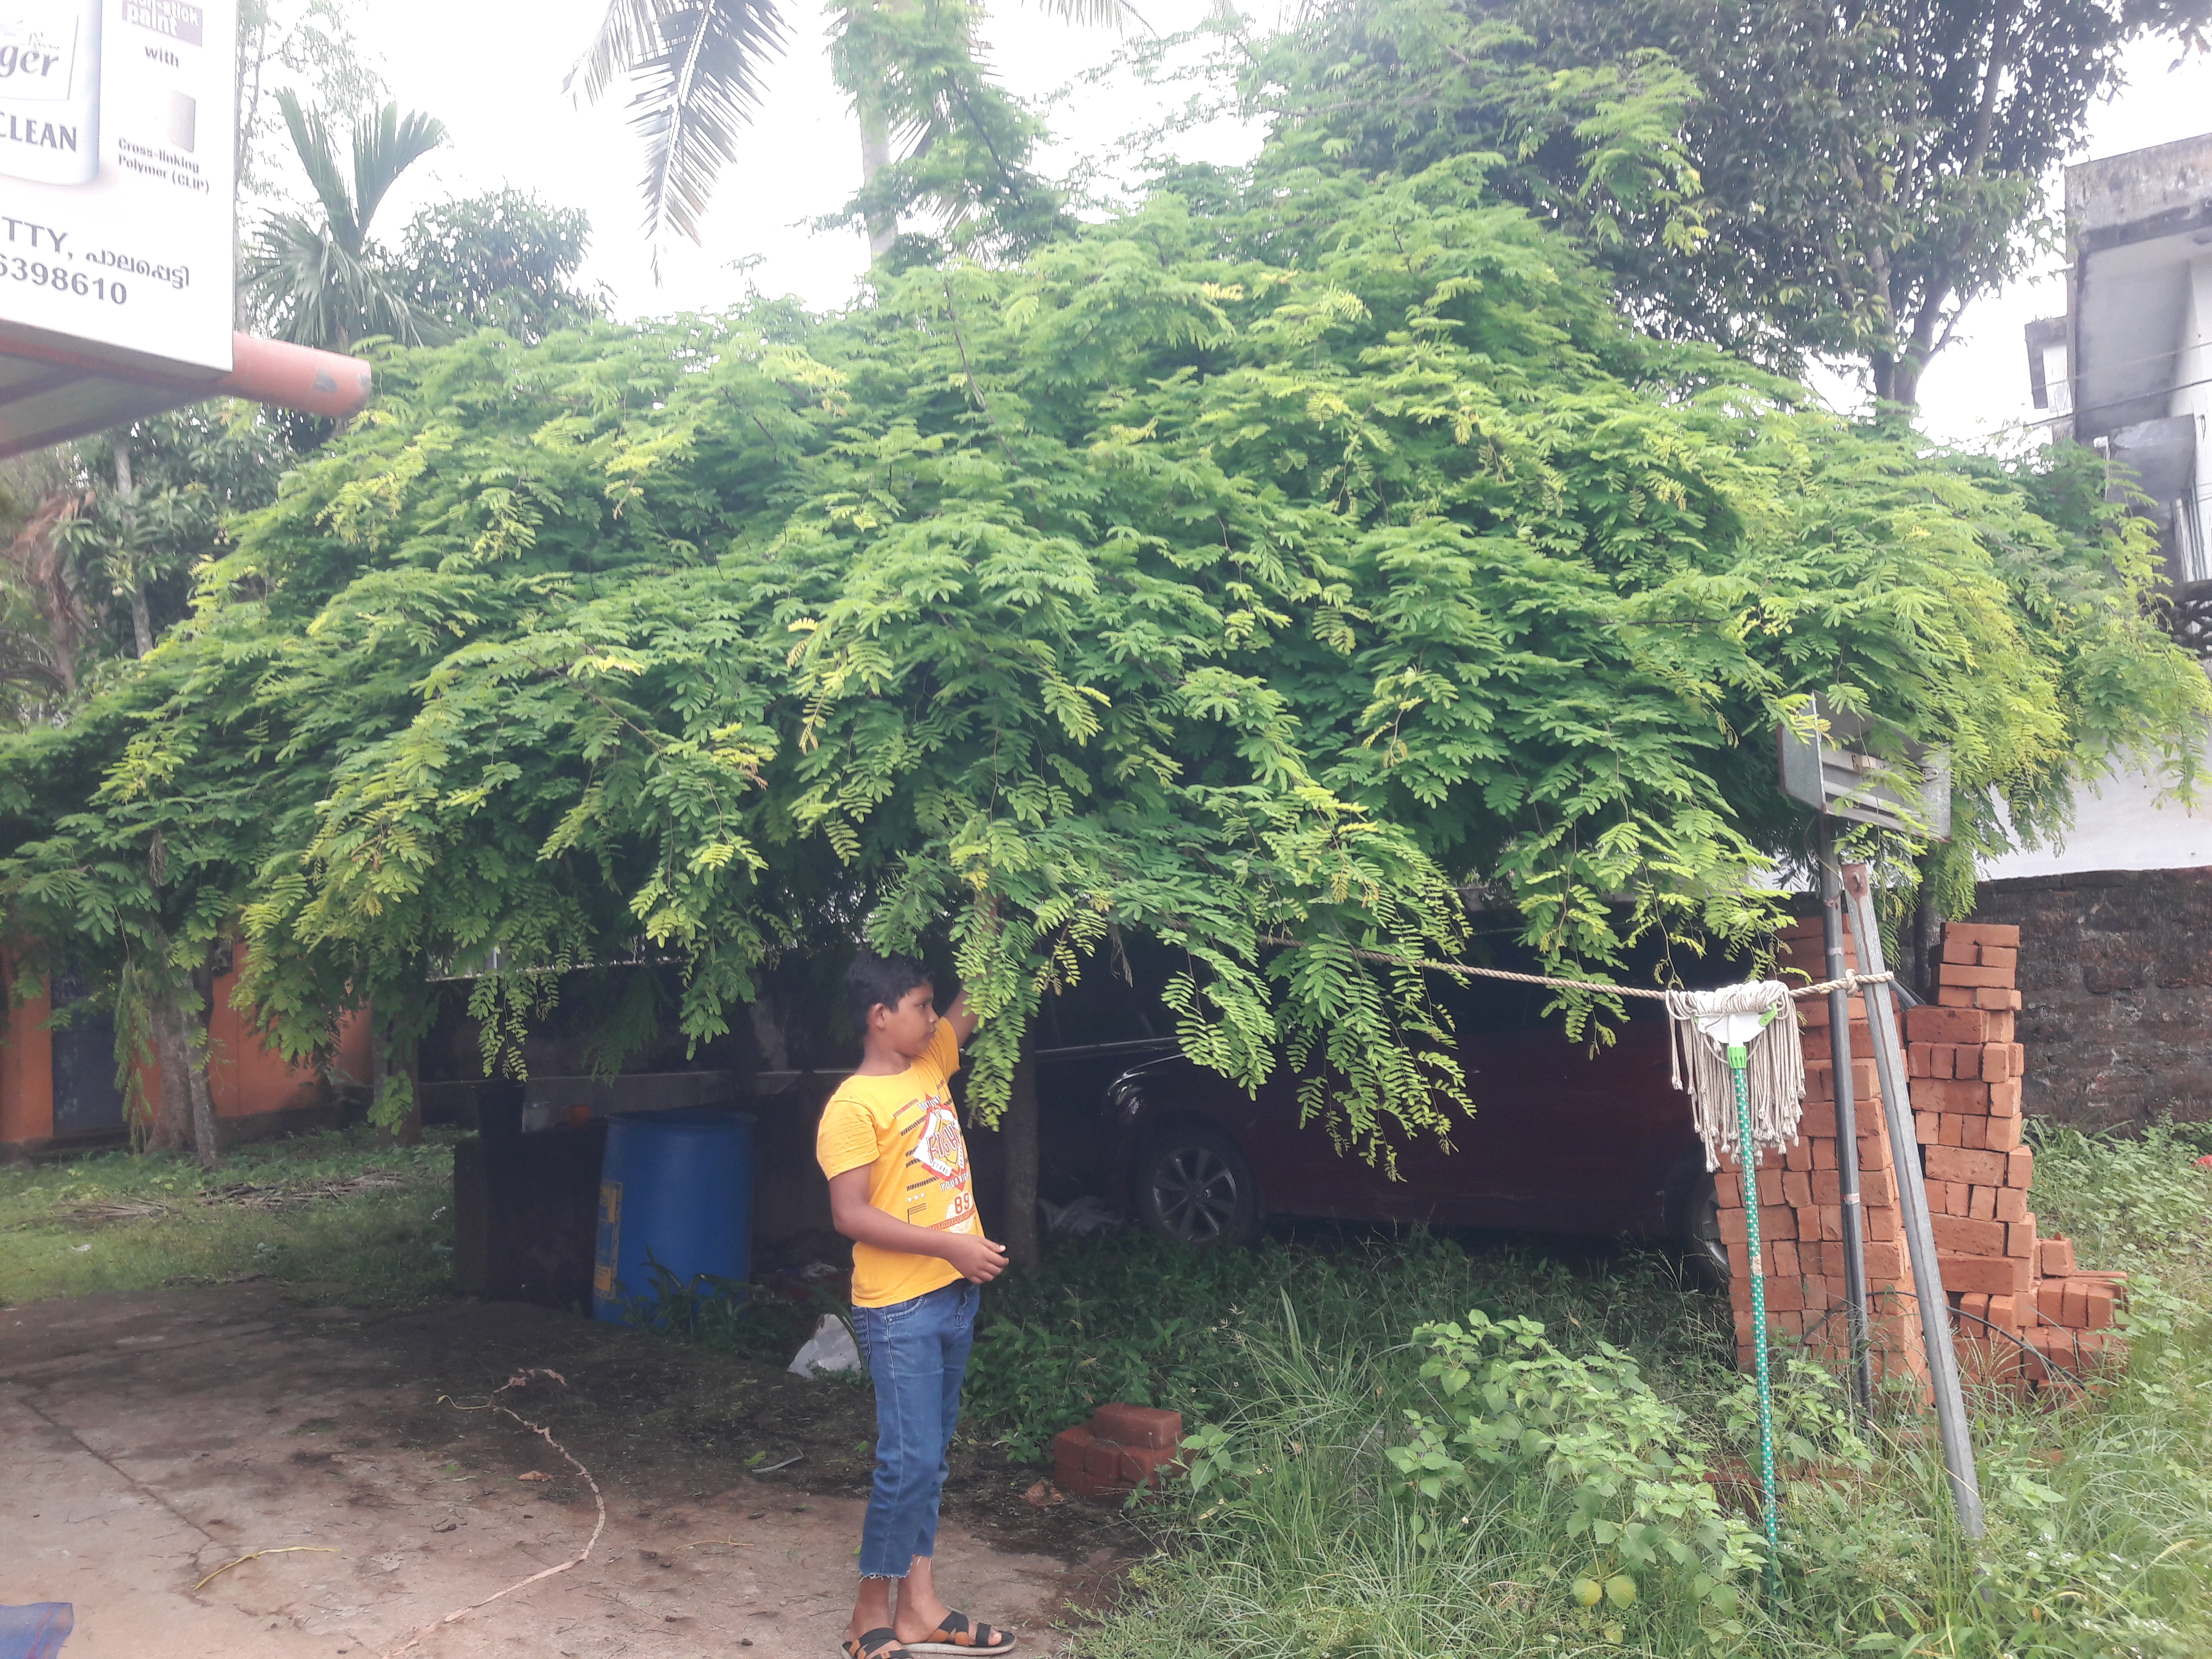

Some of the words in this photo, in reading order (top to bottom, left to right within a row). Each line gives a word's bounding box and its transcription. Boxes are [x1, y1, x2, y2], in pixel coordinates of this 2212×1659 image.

[123, 2, 180, 40] paint
[140, 43, 183, 69] with
[117, 152, 171, 182] Polymer
[116, 134, 201, 178] Cross-linking
[174, 169, 208, 197] CLIP
[2, 249, 136, 314] 398610
[85, 244, 195, 297] പാലപ്പെട്ടി